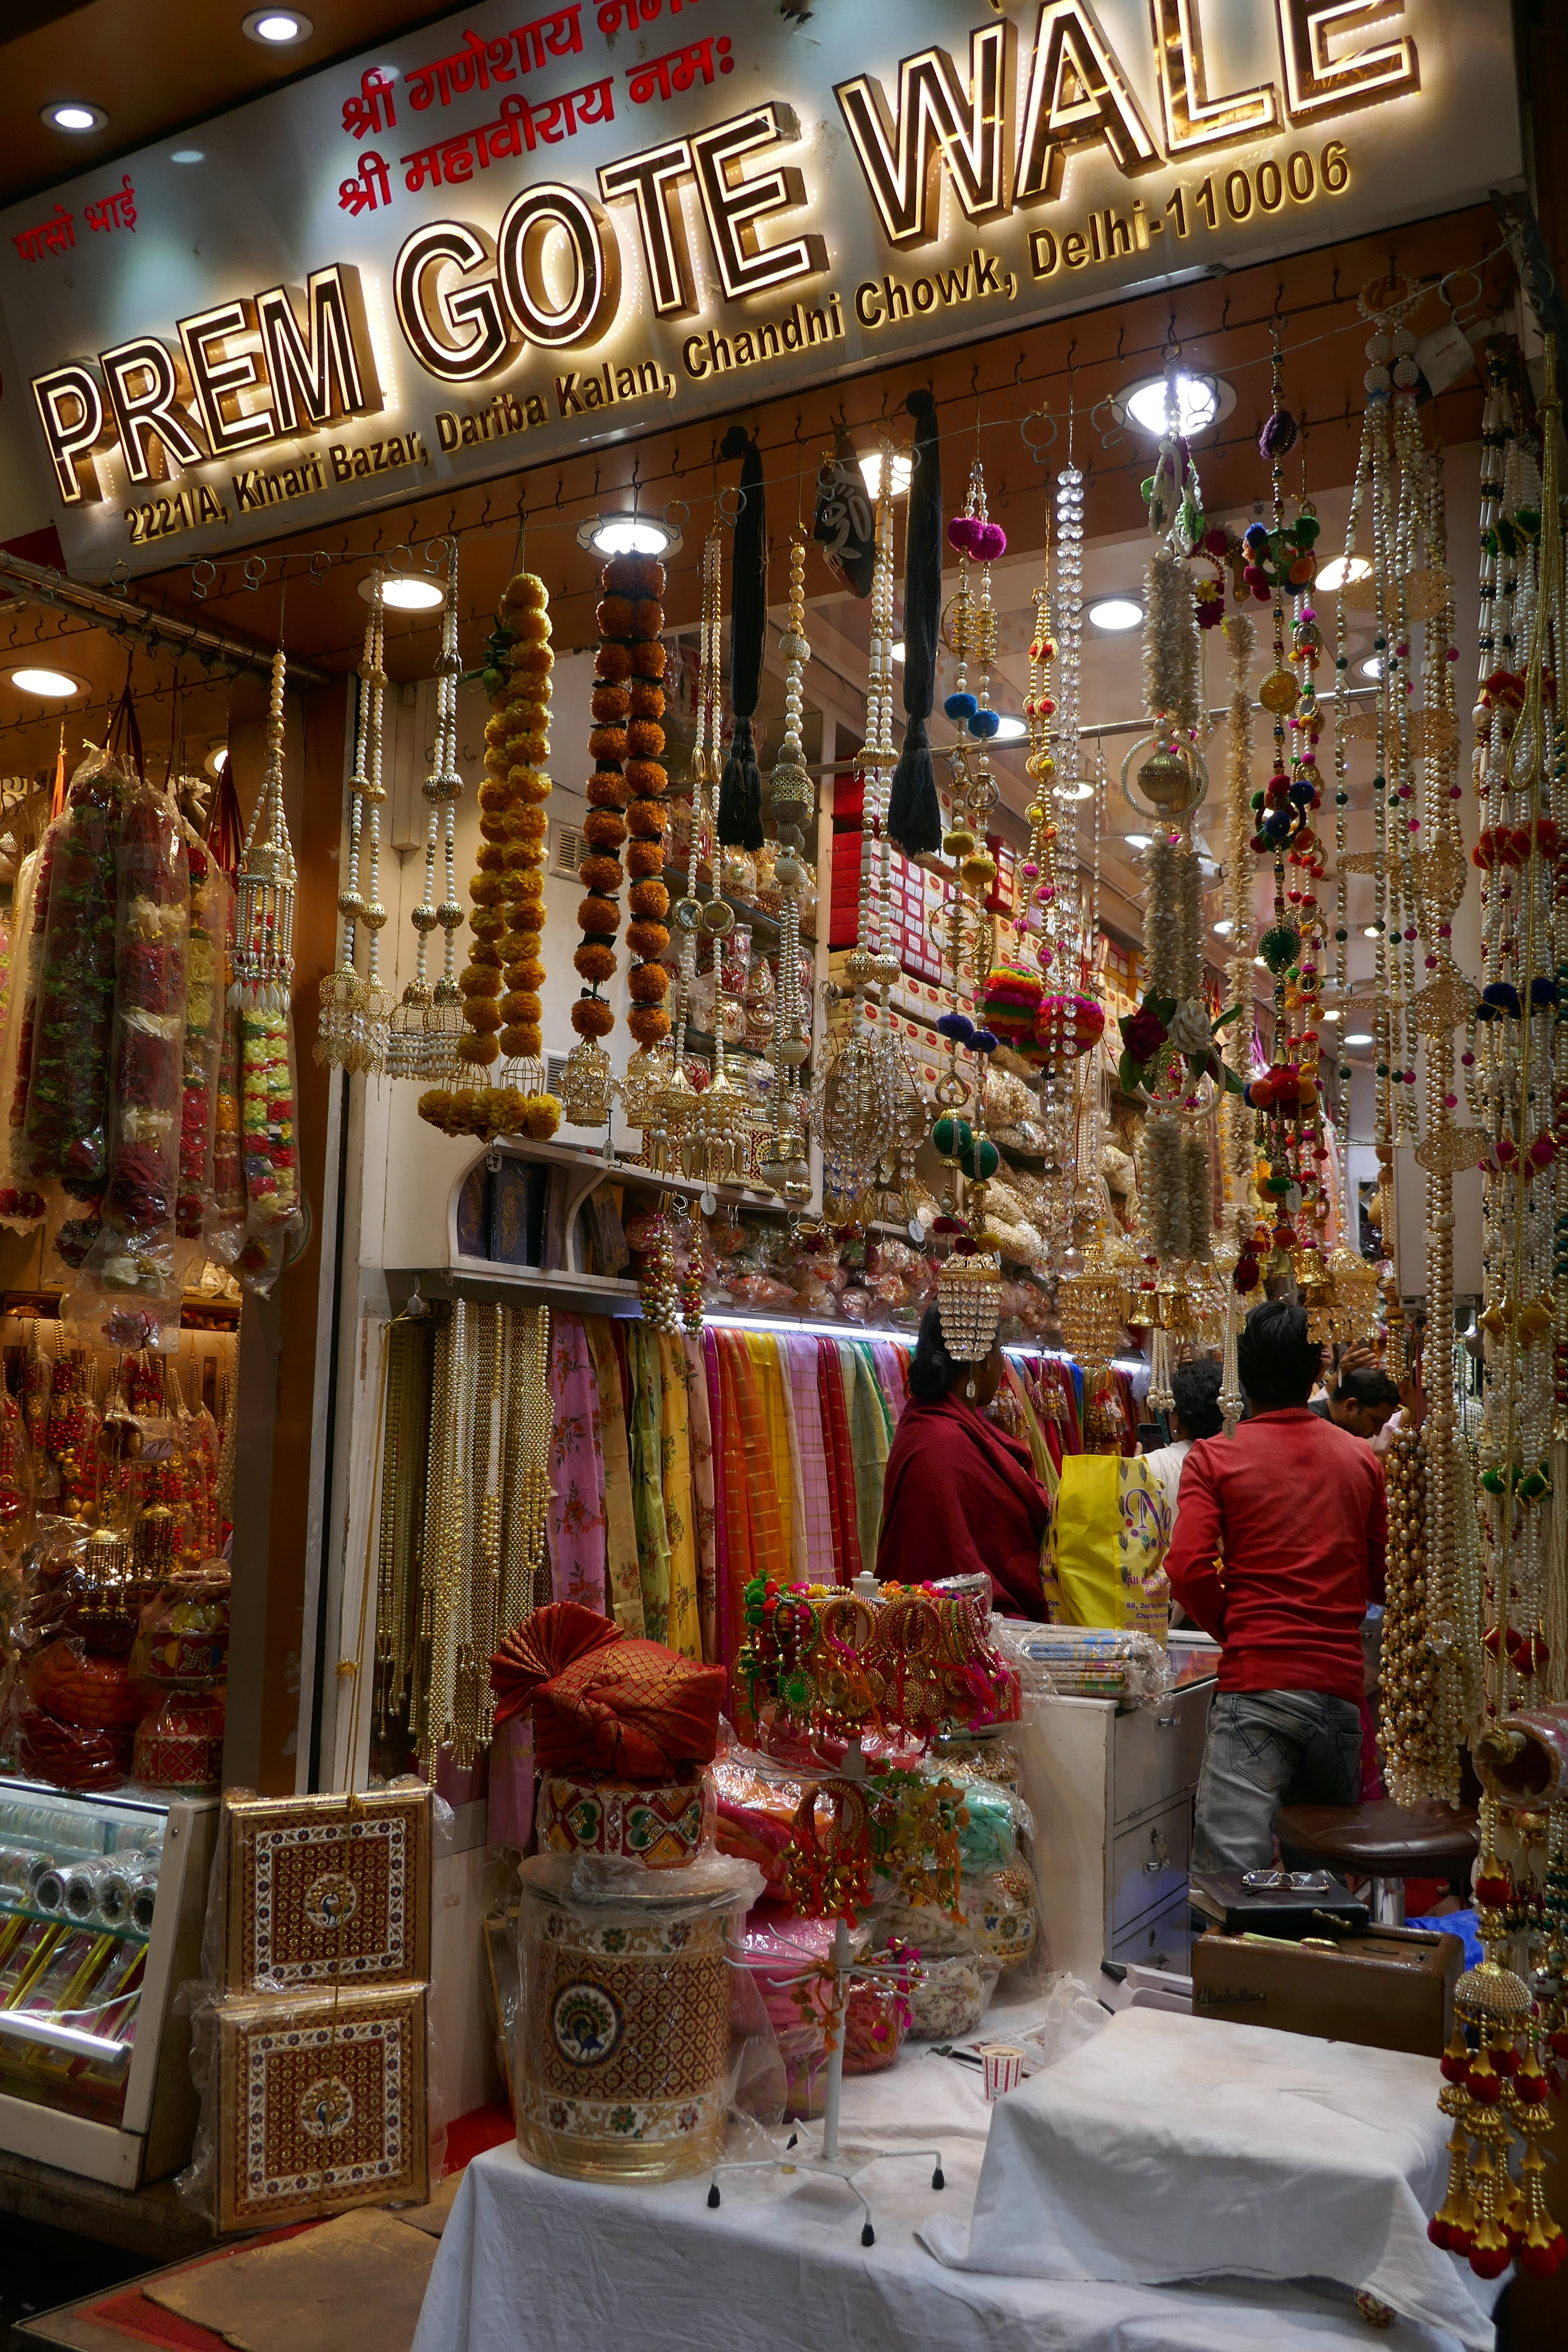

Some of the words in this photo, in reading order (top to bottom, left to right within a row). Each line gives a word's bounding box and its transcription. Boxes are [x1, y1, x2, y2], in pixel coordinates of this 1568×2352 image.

[334, 63, 403, 143] श्री
[404, 19, 585, 117] गणेशाय
[396, 73, 616, 197] महावीराय
[624, 34, 737, 111] नमः
[829, 0, 1424, 254] WALE
[4, 202, 81, 269] पासो
[74, 172, 147, 239] भाई
[326, 145, 396, 225] श्री
[384, 95, 832, 393] GOTE
[1025, 193, 1152, 286] Delhi
[1164, 136, 1349, 245] 110006
[851, 244, 1003, 334] Chowk
[680, 289, 848, 385] Chandni
[119, 482, 224, 548] 2221/A
[26, 260, 368, 513] PREM
[229, 447, 329, 517] Kinari
[324, 422, 426, 487] Bazar
[432, 389, 550, 458] Dariba
[550, 355, 665, 420] Kalan